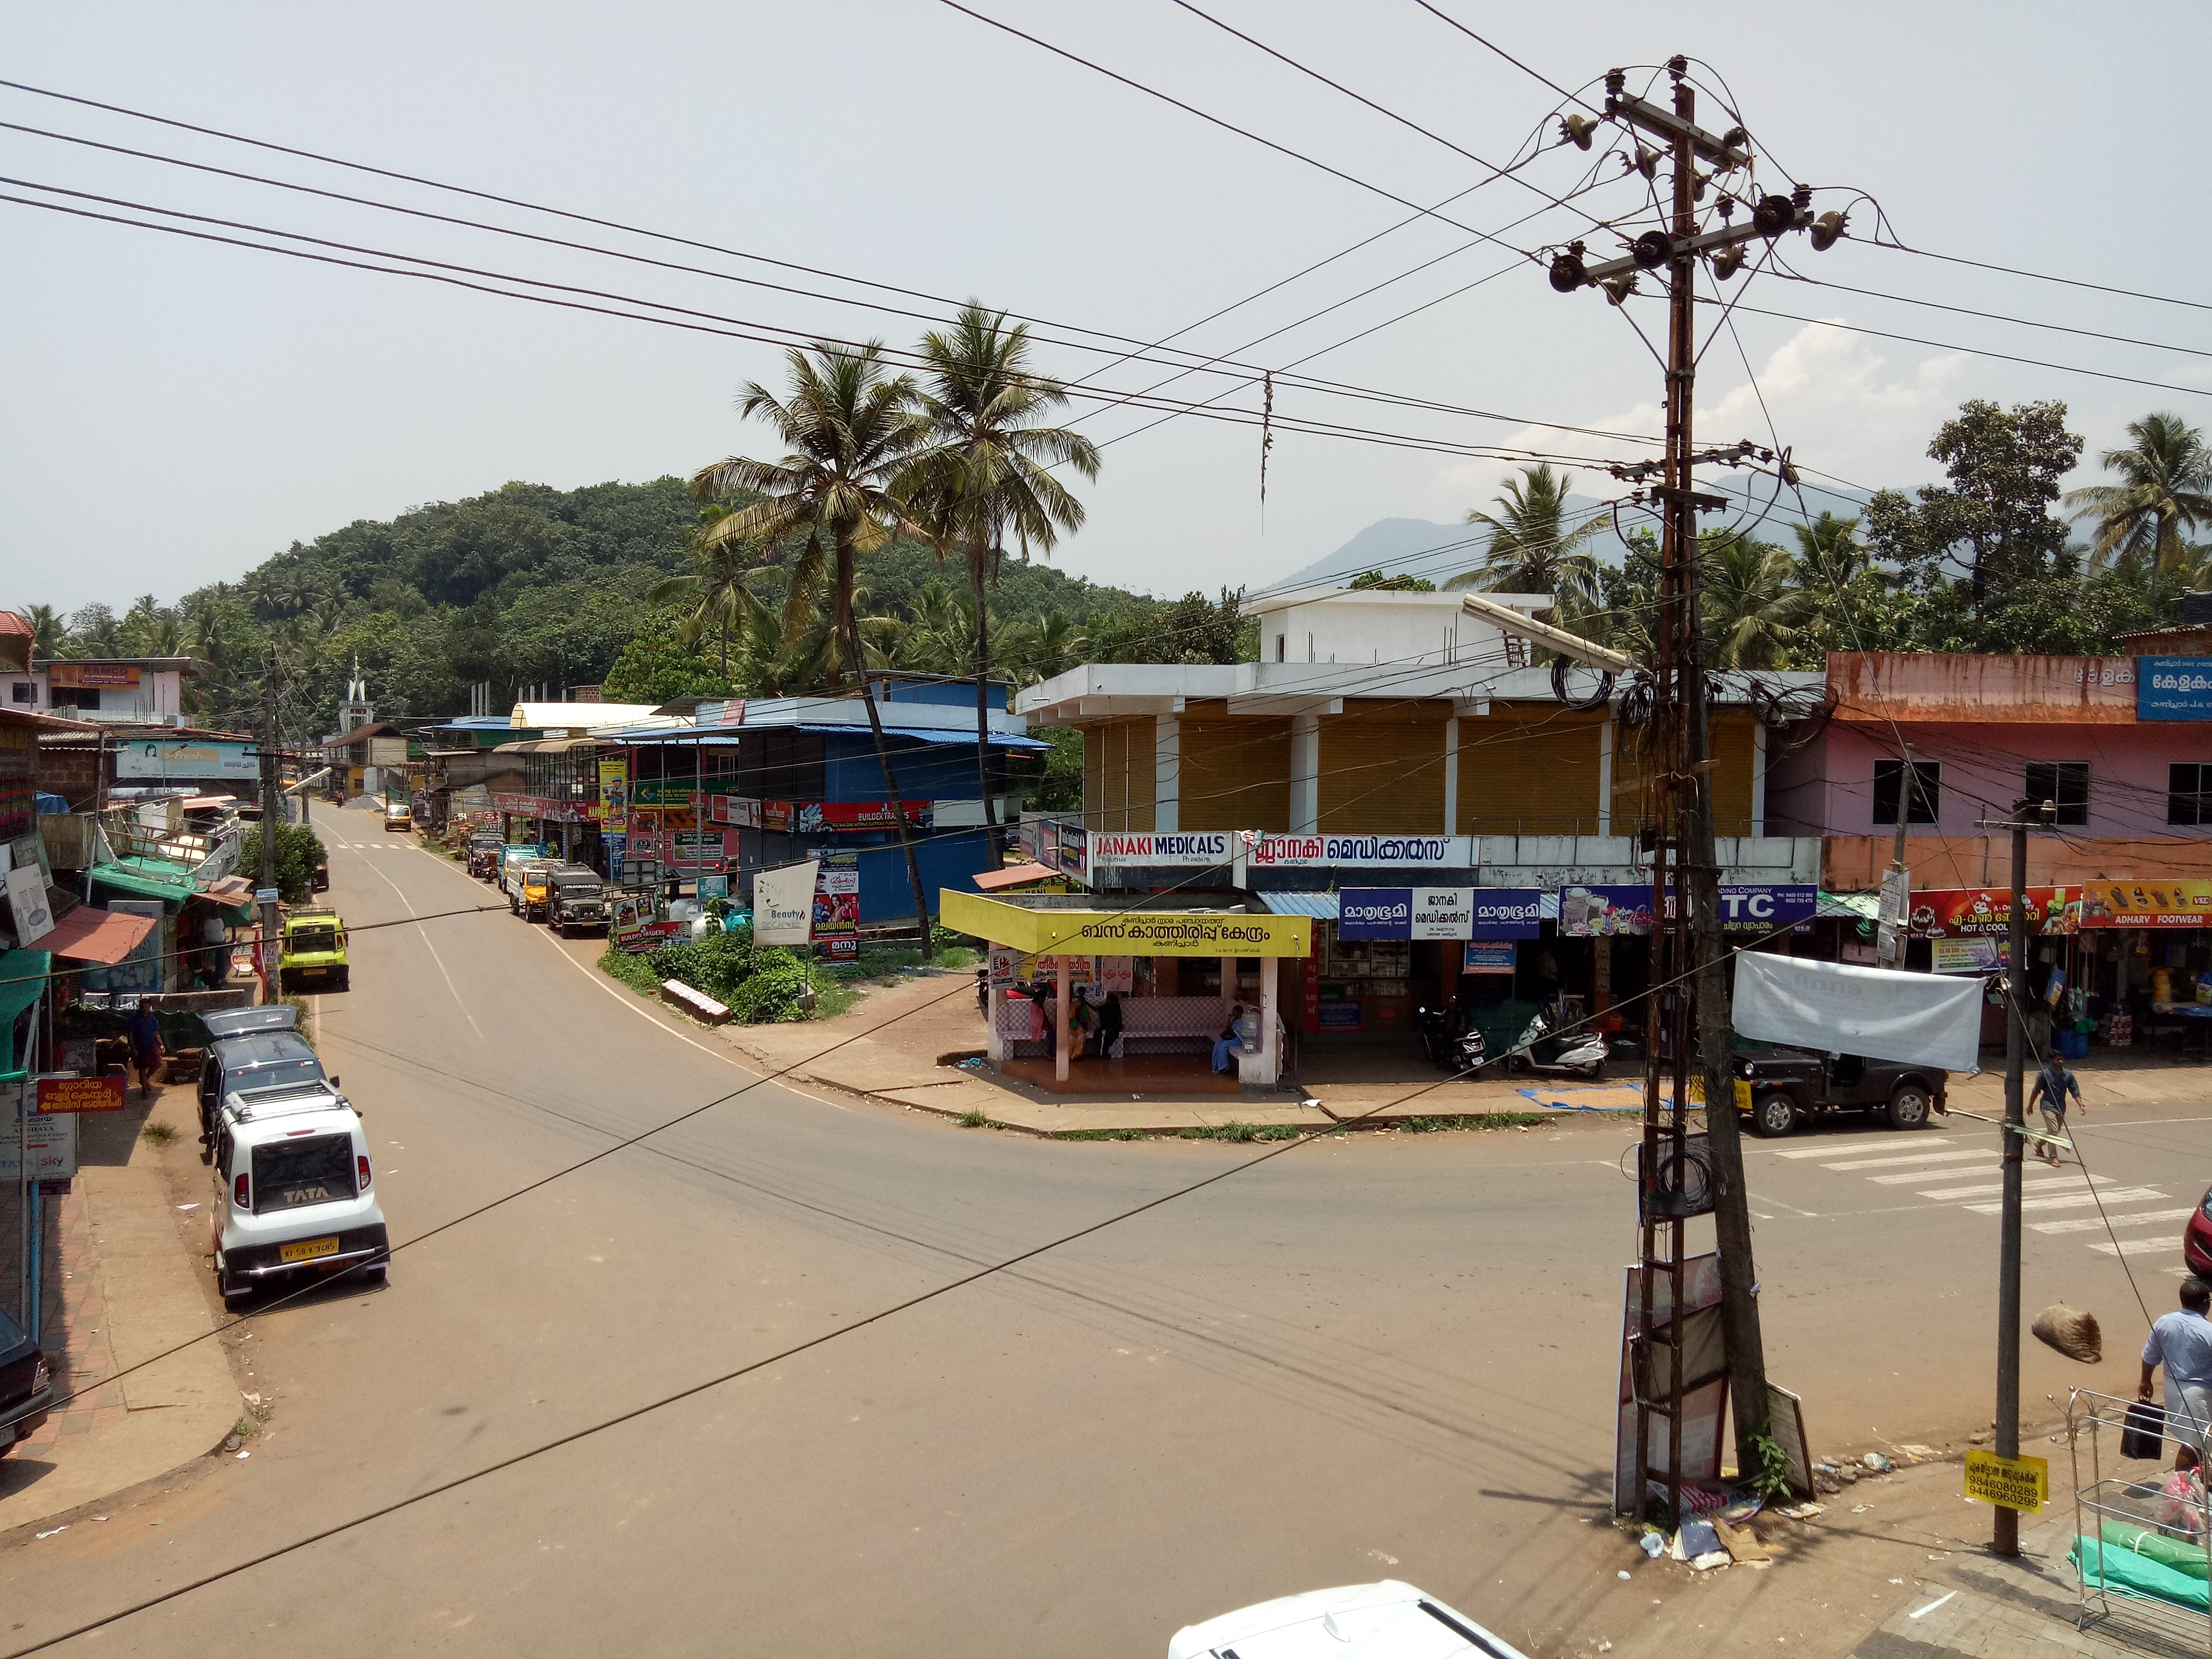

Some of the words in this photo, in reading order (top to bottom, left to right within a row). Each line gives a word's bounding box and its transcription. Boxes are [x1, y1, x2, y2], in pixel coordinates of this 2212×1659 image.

[81, 661, 131, 678] RAMCO
[2068, 661, 2143, 687] കേളക
[857, 809, 886, 824] BUILDEXT
[1094, 834, 1154, 858] JANAKI
[1151, 833, 1227, 857] MEDICALS
[1253, 832, 1326, 867] ജാനകി
[1325, 833, 1453, 863] മെഡിക്കൽസ്
[1737, 884, 1775, 898] COMPANY
[1426, 891, 1460, 908] ജാനകി
[618, 931, 644, 945] BUILDEX
[640, 927, 667, 940] TRADERS
[768, 907, 801, 923] Beauty
[812, 917, 857, 932] മലയൻസ്
[829, 939, 861, 953] മനു
[1079, 920, 1128, 941] ബസ്
[1121, 912, 1158, 926] കണിച്ചാർ
[1153, 915, 1177, 928] യാ‍മ
[1126, 919, 1219, 945] കാത്തിരിപ്പ്
[1148, 936, 1201, 950] കണിച്ചാർ
[1172, 915, 1226, 928] പഞ്ചായത്ത്
[1218, 922, 1272, 945] കേന്ദ്രം
[1343, 901, 1410, 921] മാതൃഭൂമി
[1411, 908, 1473, 926] മെഡിക്കൽസ്
[1476, 902, 1540, 921] മാതൃഭൂമി
[1720, 918, 1743, 934] ചില്ലറ
[1740, 920, 1776, 933] വ്യാപാരം
[1957, 922, 1980, 936] HOT
[1943, 908, 1996, 929] എ-വൺ
[1984, 919, 2010, 934] COOL
[2108, 912, 2153, 926] ADHARV
[2154, 914, 2205, 925] FOOTWEAR
[1306, 1004, 1319, 1017] പ്
[56, 1073, 105, 1092] ഗോറിയ
[70, 1086, 115, 1103] കെതർ
[281, 1184, 333, 1205] TATA